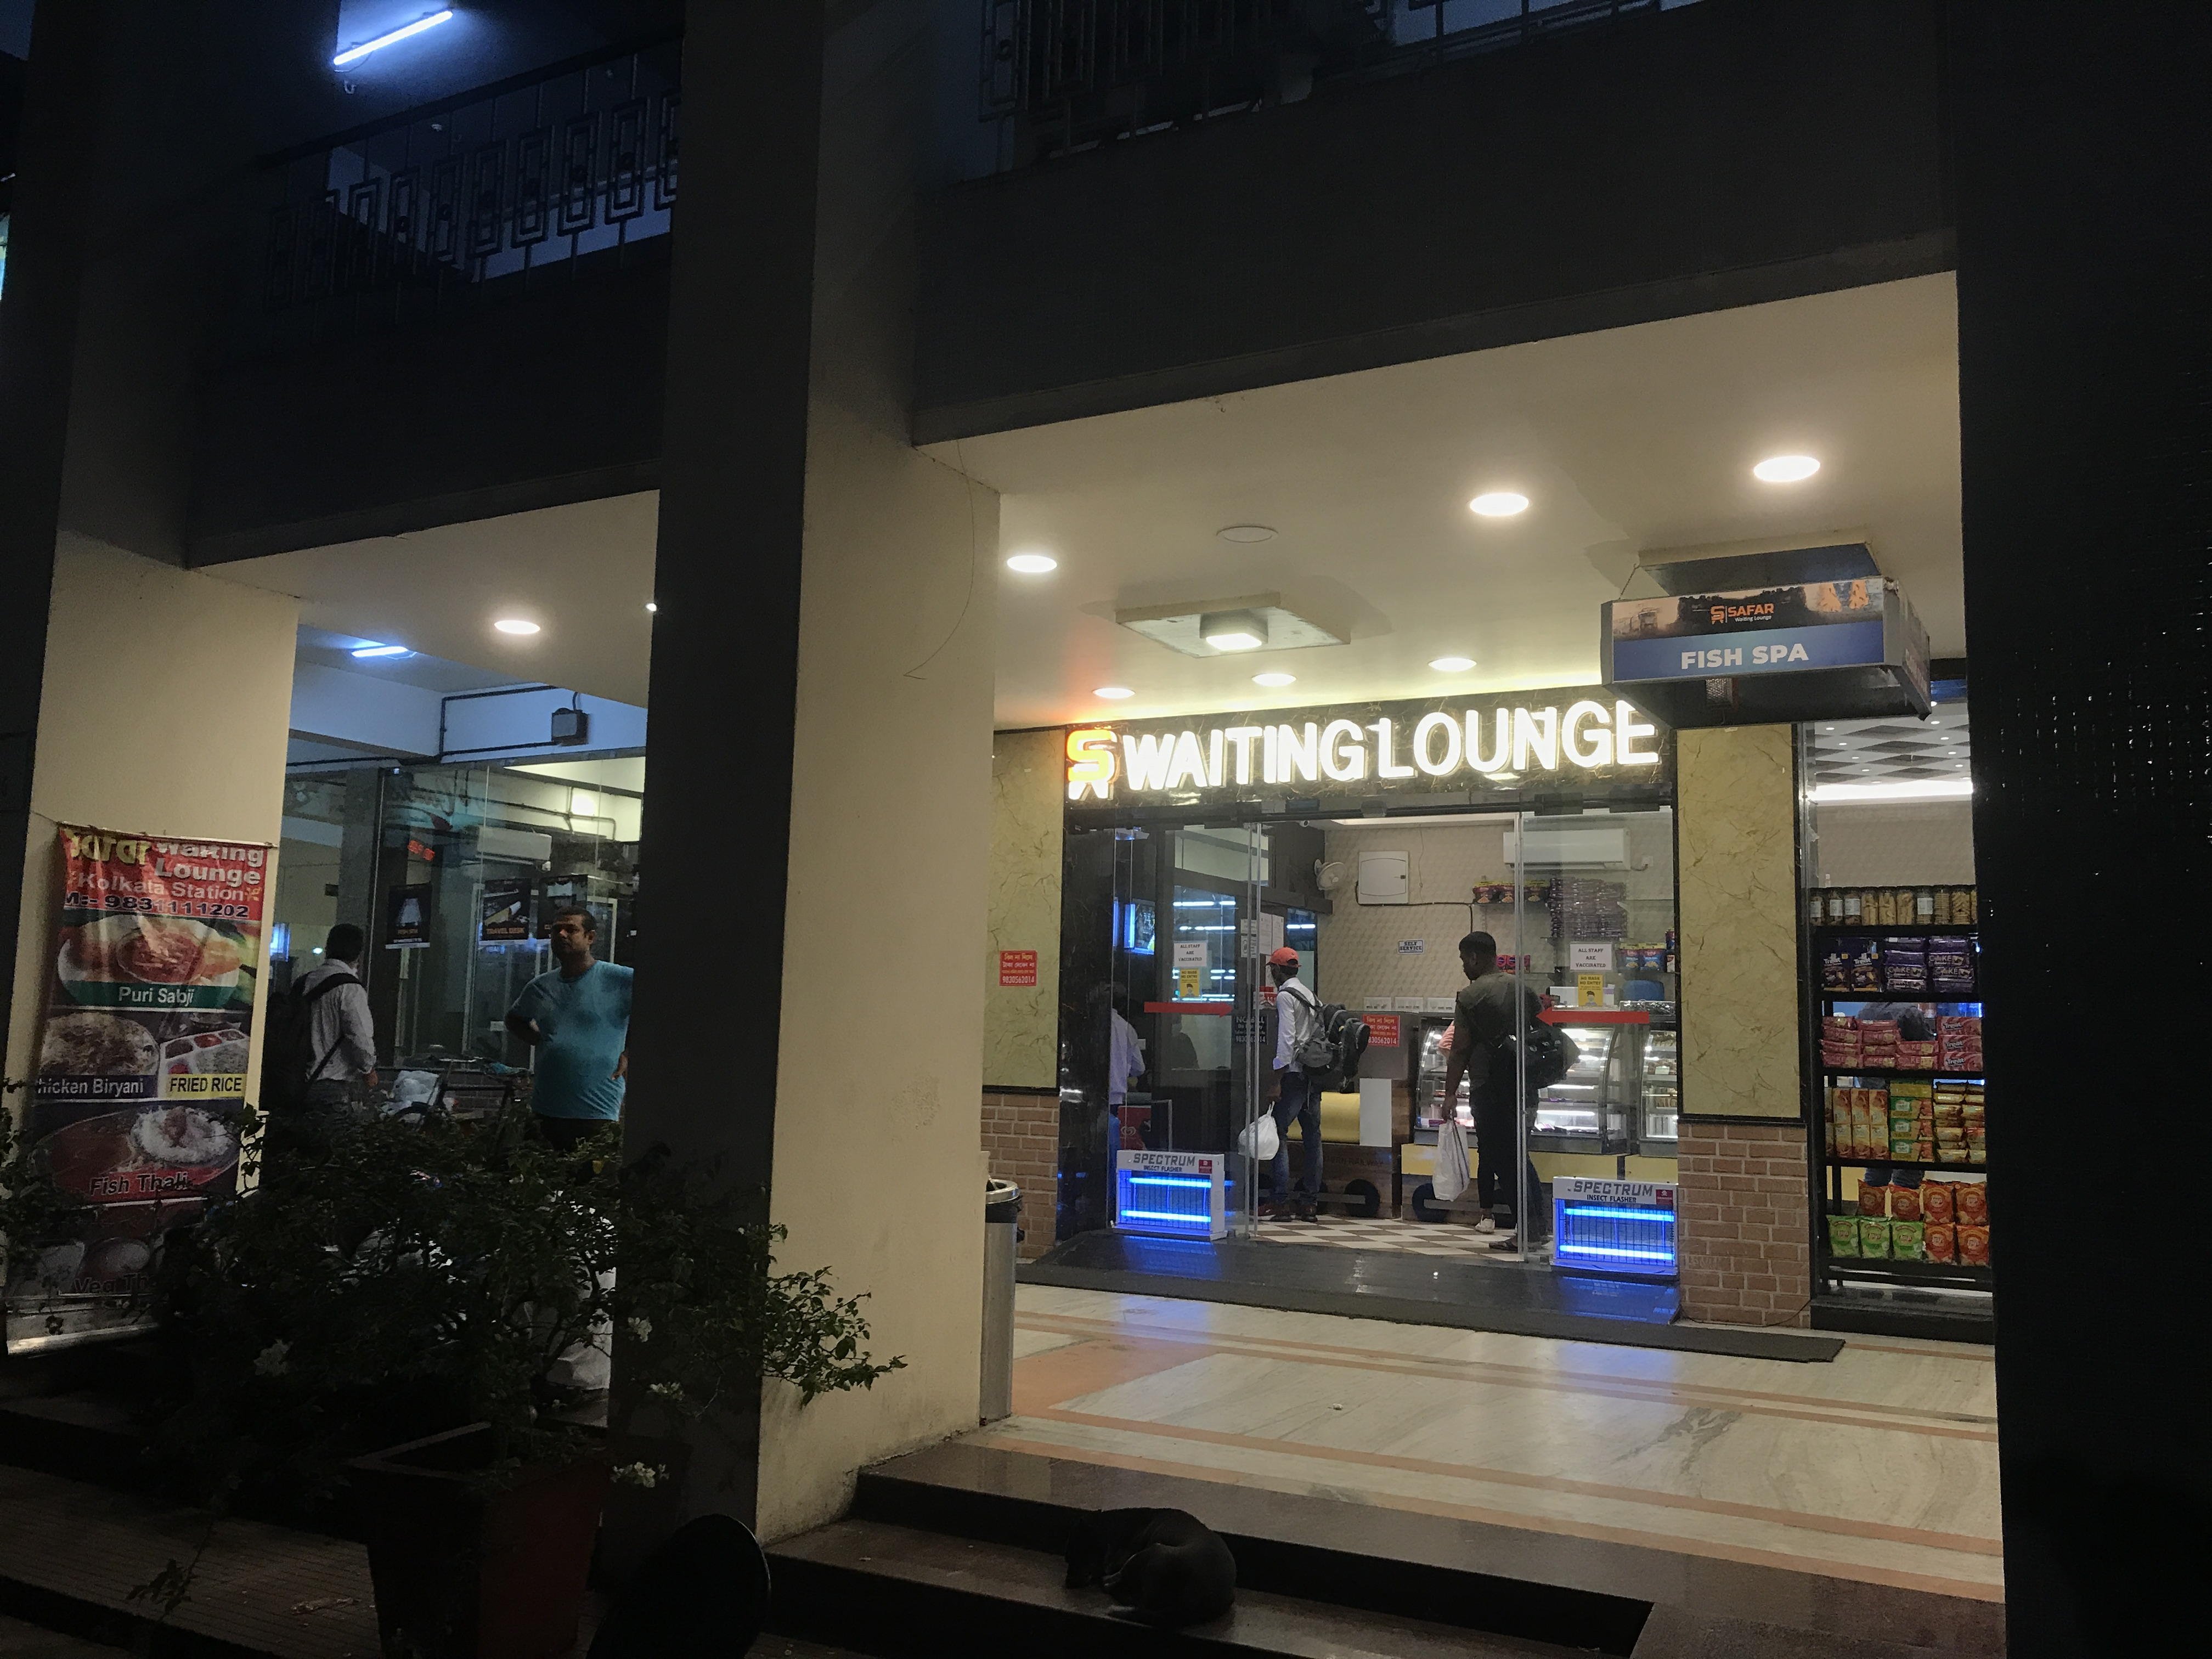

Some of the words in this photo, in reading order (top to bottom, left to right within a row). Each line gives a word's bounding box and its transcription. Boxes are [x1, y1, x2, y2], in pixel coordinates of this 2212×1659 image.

[1722, 600, 1777, 622] SAFAR
[1674, 635, 1750, 678] FISH
[1745, 635, 1815, 668] SPA
[1062, 692, 1664, 814] SWAITINGLOUNGE
[150, 837, 270, 870] waiting
[77, 868, 167, 900] Kolkata
[151, 855, 266, 891] Lounge
[168, 877, 249, 905] Station
[114, 983, 159, 1008] Puri
[154, 987, 200, 1011] Sabji
[32, 1075, 93, 1098] hicken
[91, 1075, 147, 1100] Biryani
[168, 1071, 212, 1096] FRIED
[208, 1073, 247, 1097] RICE
[1139, 1163, 1162, 1175] INSECT
[1129, 1149, 1197, 1169] SPECTRUM
[1157, 1163, 1186, 1175] FLASHER
[86, 1170, 135, 1199] Fish
[134, 1169, 196, 1196] Thali
[1583, 1190, 1610, 1204] INSECT
[1568, 1178, 1657, 1200] SPECTRUM
[1604, 1193, 1639, 1204] FLASHER